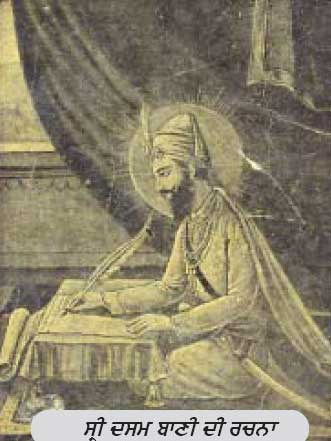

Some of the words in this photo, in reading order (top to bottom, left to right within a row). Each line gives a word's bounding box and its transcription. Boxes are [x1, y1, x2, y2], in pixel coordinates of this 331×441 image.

[76, 415, 111, 441] ਸ੍ਰੀ
[105, 416, 157, 441] ਦਸਮ
[152, 415, 206, 441] ਬਾਣੀ
[200, 413, 230, 441] ਦੀ
[223, 413, 287, 441] ਰਚਨਾ